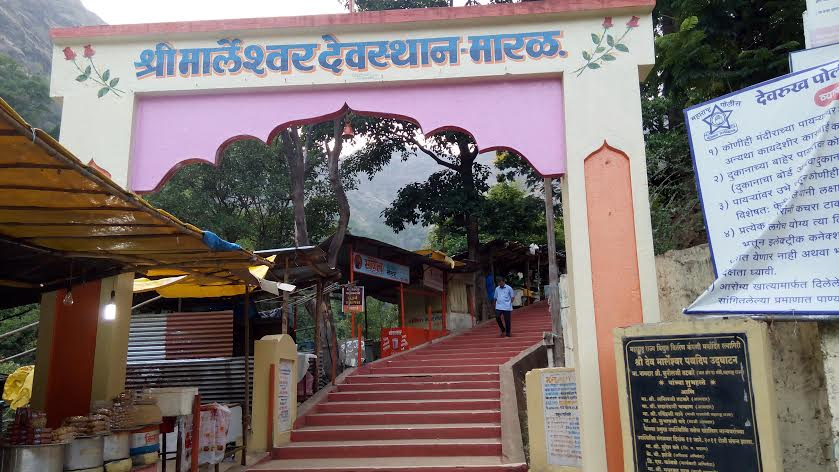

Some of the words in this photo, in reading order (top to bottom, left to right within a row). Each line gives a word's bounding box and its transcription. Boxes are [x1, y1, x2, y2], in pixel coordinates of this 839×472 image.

[133, 31, 324, 81] श्रीमार्लेश्वर
[309, 23, 465, 83] देवस्थान-
[465, 19, 574, 69] मारळ.
[754, 77, 808, 106] देवरुख
[711, 97, 742, 112] पोलीस
[751, 115, 801, 143] मंदीराच्या
[717, 131, 757, 156] कोणीही
[722, 145, 758, 170] अन्यथा
[722, 156, 773, 185] दुकानाच्या
[731, 171, 779, 199] दुकानाचा
[755, 133, 801, 161] कायदेशीर
[769, 150, 801, 170] बाहेर
[771, 162, 799, 184] बोर्ड
[791, 161, 839, 191] कोणीही
[811, 145, 839, 173] दुकान
[727, 201, 771, 224] विशेष‌तः
[734, 215, 771, 239] प्रत्येक
[730, 186, 777, 210] पायऱ्यांवर
[738, 233, 771, 253] भत्तून
[761, 215, 792, 233] लगेच
[775, 248, 797, 262] नाही
[765, 227, 808, 250] इलेक्ट्रीक
[784, 212, 814, 230] योग्य
[791, 197, 824, 216] कचरा
[799, 247, 829, 259] अथवा
[719, 277, 754, 296] आरोग्य
[748, 264, 774, 276] घ्यावी
[748, 272, 811, 293] खात्यामार्फत
[805, 271, 839, 292] दिलेले
[715, 290, 773, 307] सांगितलेल्या
[770, 291, 817, 308] प्रमाणात
[629, 348, 652, 369] श्री दे
[640, 350, 662, 371] देव म
[647, 348, 687, 371] मार्लेश्‍वर
[678, 345, 714, 371] पथदिप
[707, 349, 744, 373] उद्घाटन